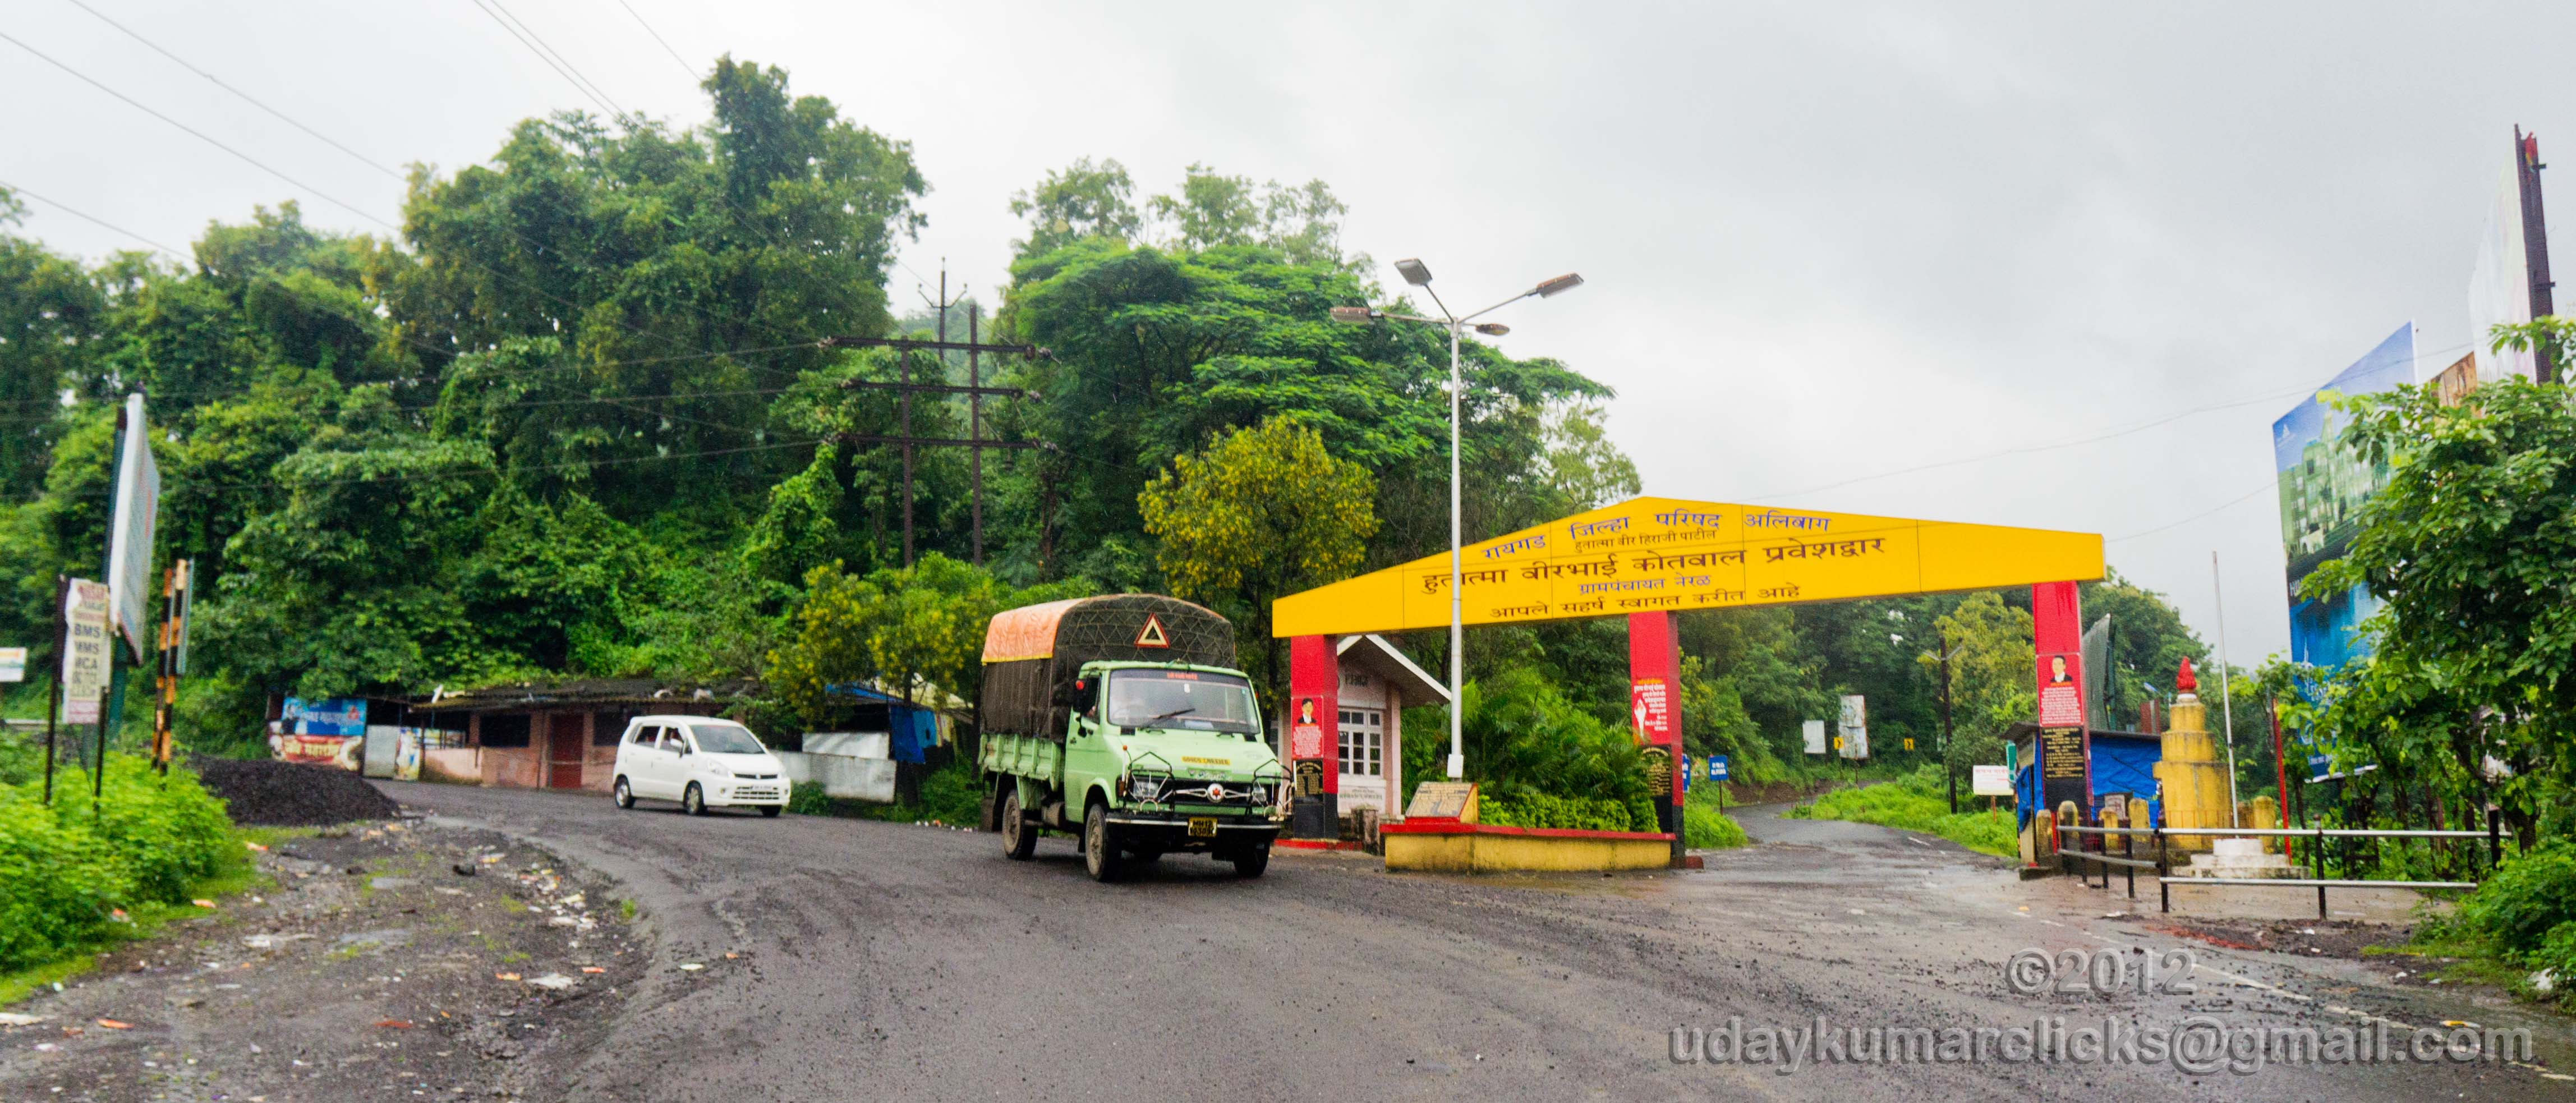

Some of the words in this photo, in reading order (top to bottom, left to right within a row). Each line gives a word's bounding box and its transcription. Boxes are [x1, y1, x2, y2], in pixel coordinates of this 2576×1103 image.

[1479, 531, 1546, 562] रायगड
[1517, 546, 1621, 585] वीरभाई
[1571, 532, 1620, 558] हुतात्मा
[1565, 513, 1631, 544] जिल्हा
[1612, 527, 1637, 549] बीर
[1632, 525, 1682, 550] हिराजी
[1652, 503, 1724, 532] परिषद
[1630, 546, 1750, 575] कोतवाल
[1672, 523, 1717, 545] पाटील
[1744, 509, 1829, 534] अलिबाग
[1762, 532, 1887, 566] प्रवेशद्वार
[1423, 562, 1509, 601] हुतात्मा
[1490, 598, 1554, 620] आपले
[1558, 594, 1604, 616] सहर्ष
[1571, 575, 1669, 599] ग्रामपंचायत
[1613, 592, 1683, 611] स्वागत
[1672, 568, 1715, 590] नेरळ
[1689, 584, 1747, 606] करीत
[1758, 583, 1798, 601] आहे
[2003, 939, 2209, 1008] ©2012
[1668, 1022, 1819, 1078] uday
[1792, 1022, 2533, 1072] kumarclicks@gmail.com